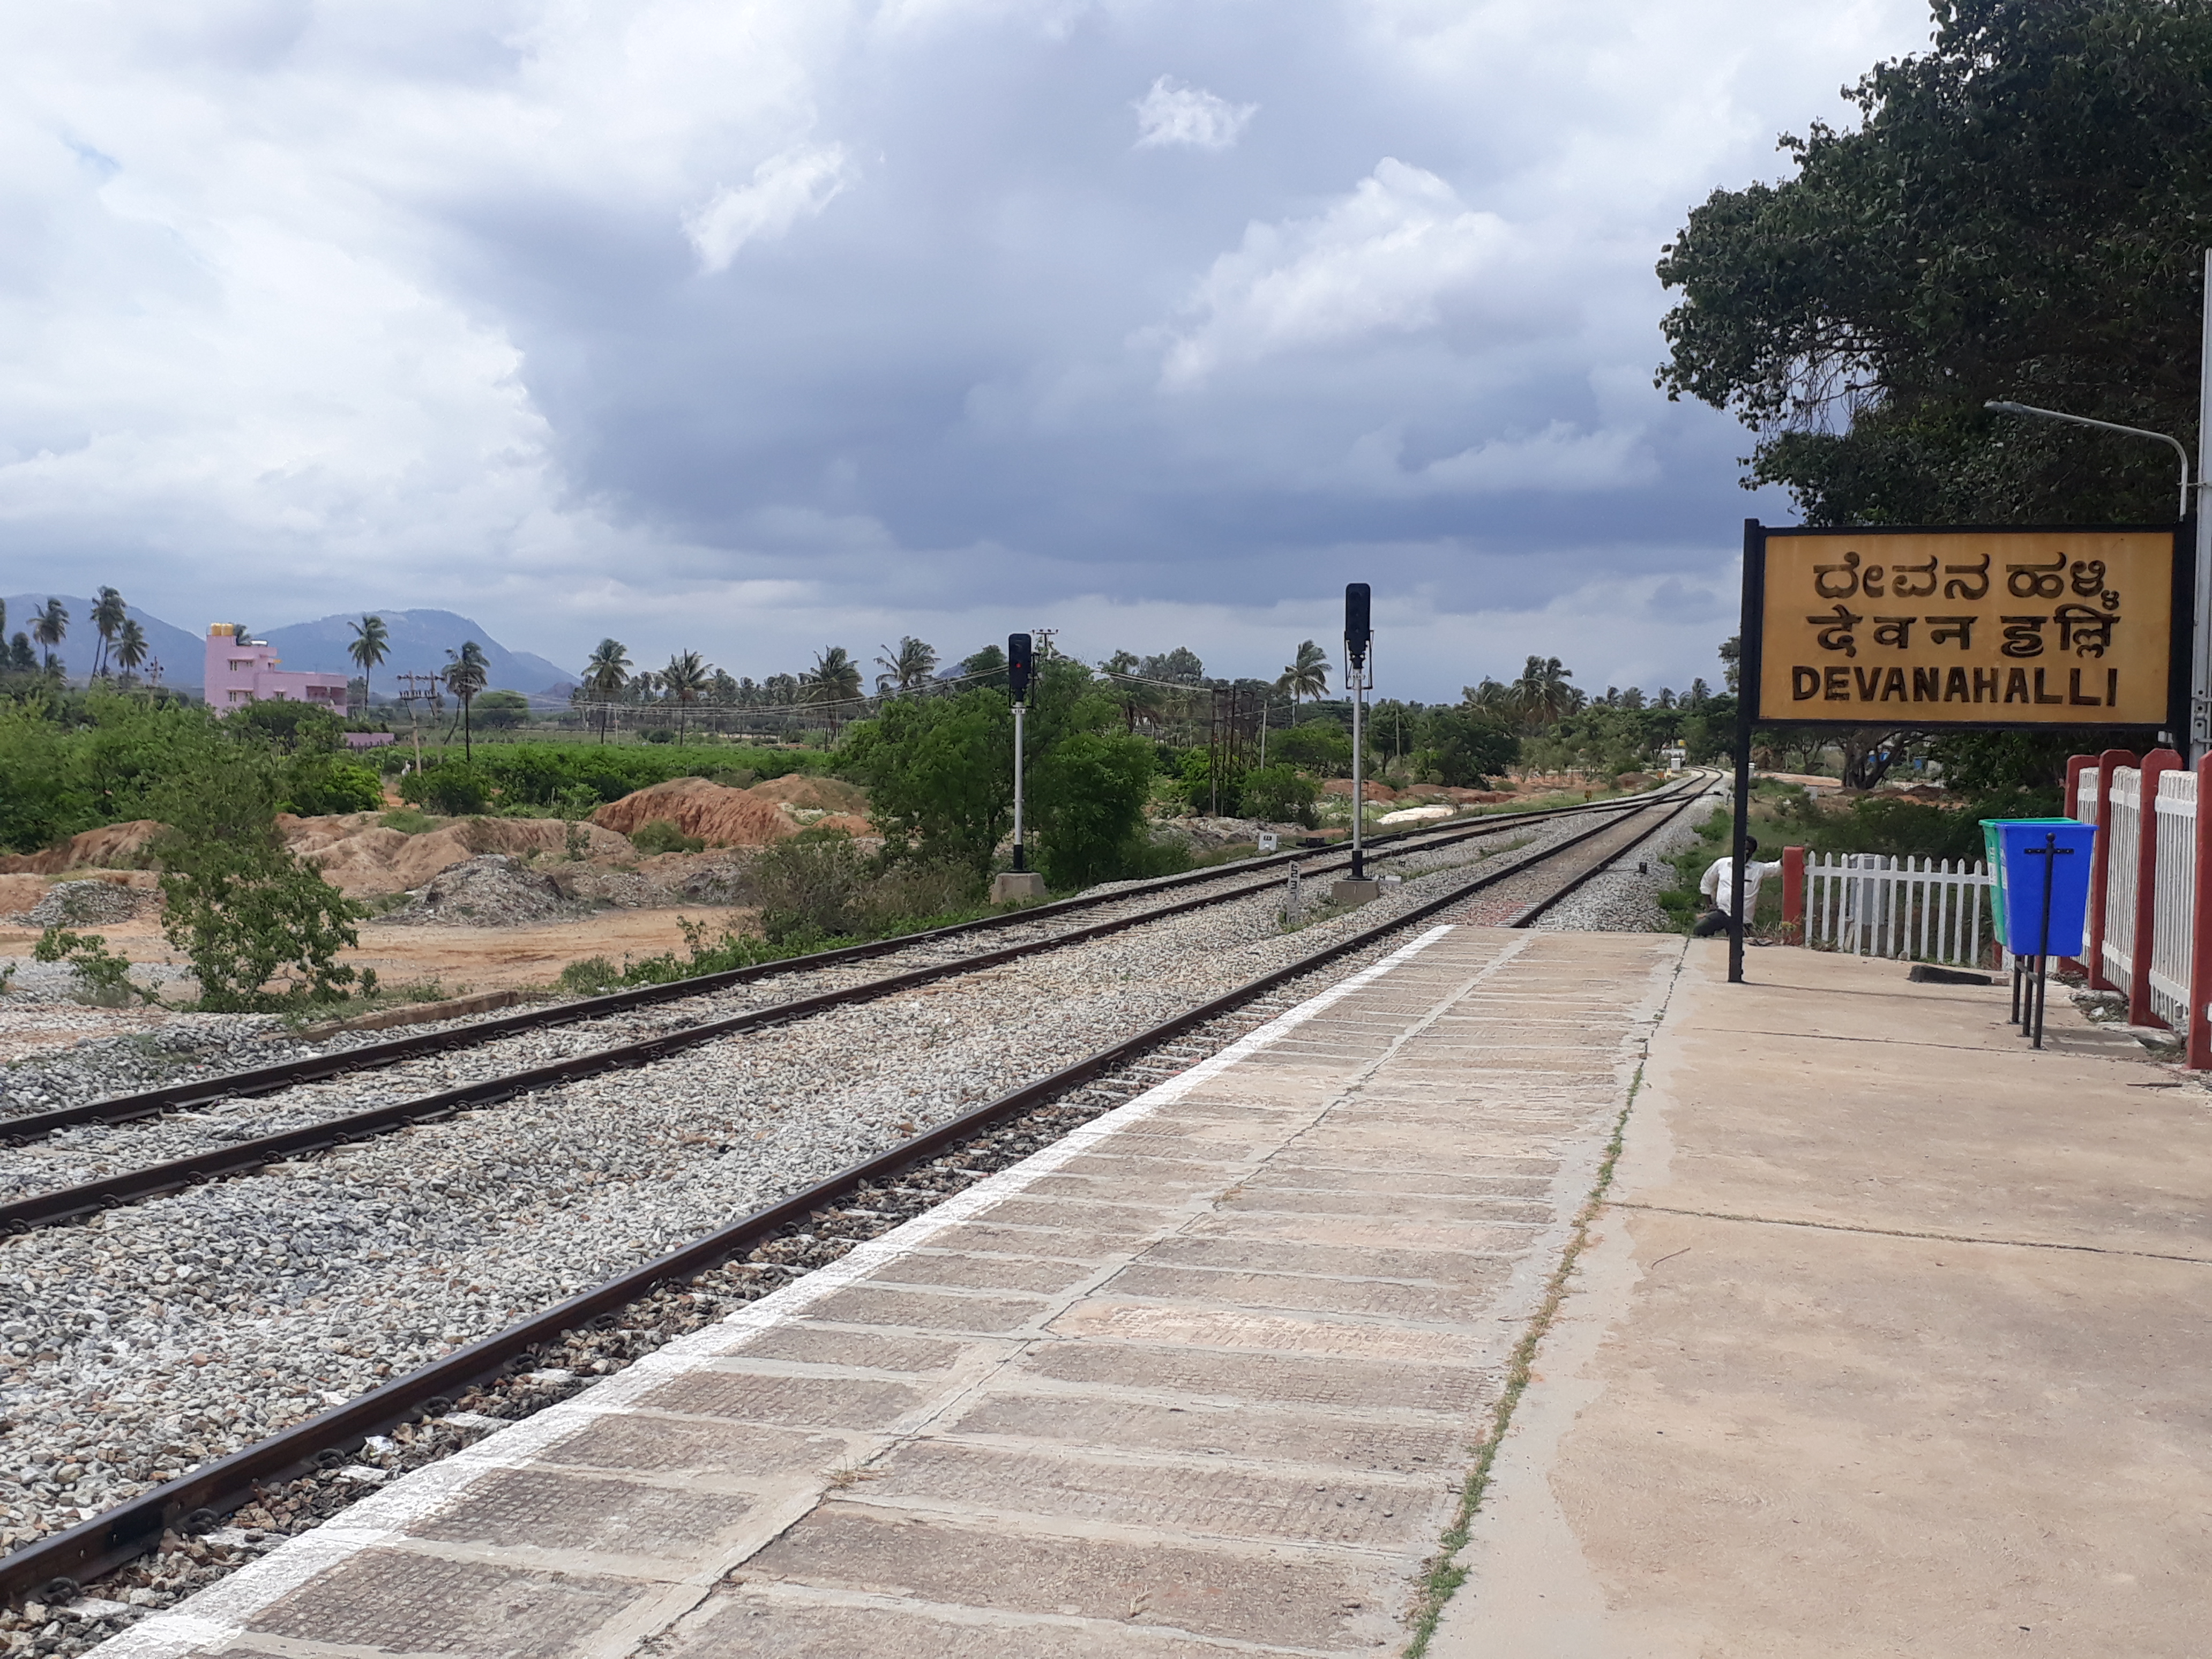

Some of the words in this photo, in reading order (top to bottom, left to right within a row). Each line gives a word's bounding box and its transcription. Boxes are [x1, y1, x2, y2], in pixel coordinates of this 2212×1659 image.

[1813, 548, 1998, 609] ದೇವನ
[2004, 542, 2124, 614] ಹಳ್ಳ
[1806, 601, 1980, 661] देवन
[1997, 600, 2122, 662] हल्लि
[1789, 662, 2120, 710] DEVANAHALLI